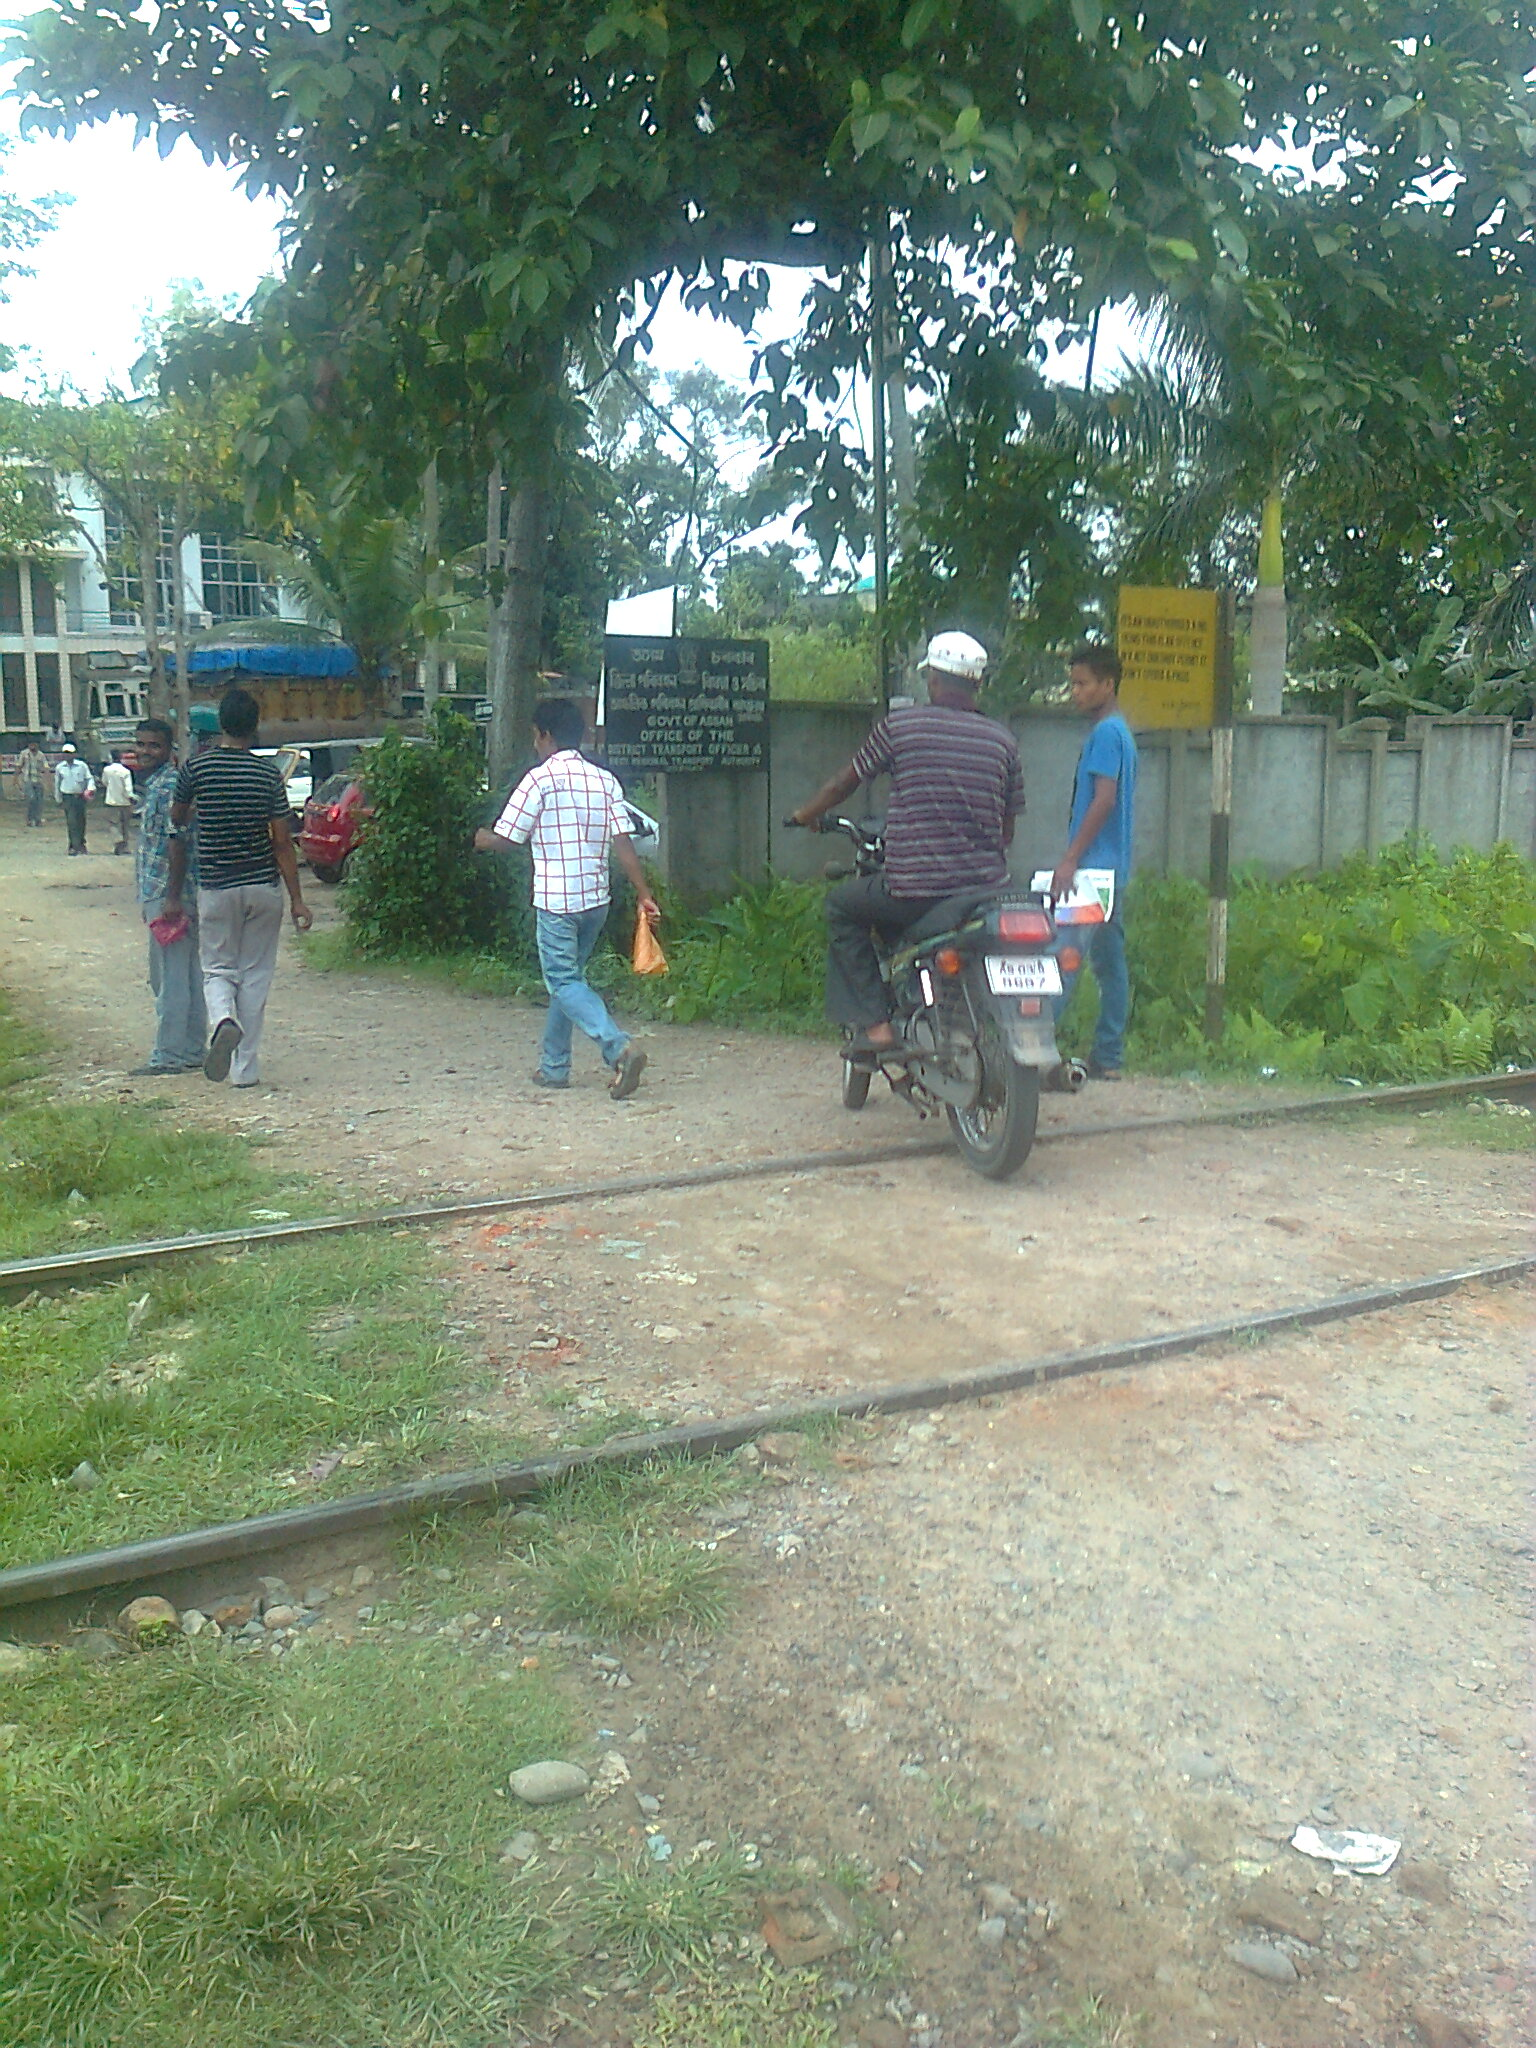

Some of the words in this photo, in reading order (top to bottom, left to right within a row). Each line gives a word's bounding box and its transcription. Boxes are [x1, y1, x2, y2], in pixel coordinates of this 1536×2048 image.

[634, 723, 688, 748] OFFICE
[642, 706, 690, 735] GOVT
[675, 708, 707, 735] OF
[681, 723, 707, 747] OF
[691, 707, 741, 731] ASSAM
[704, 723, 744, 751] THE